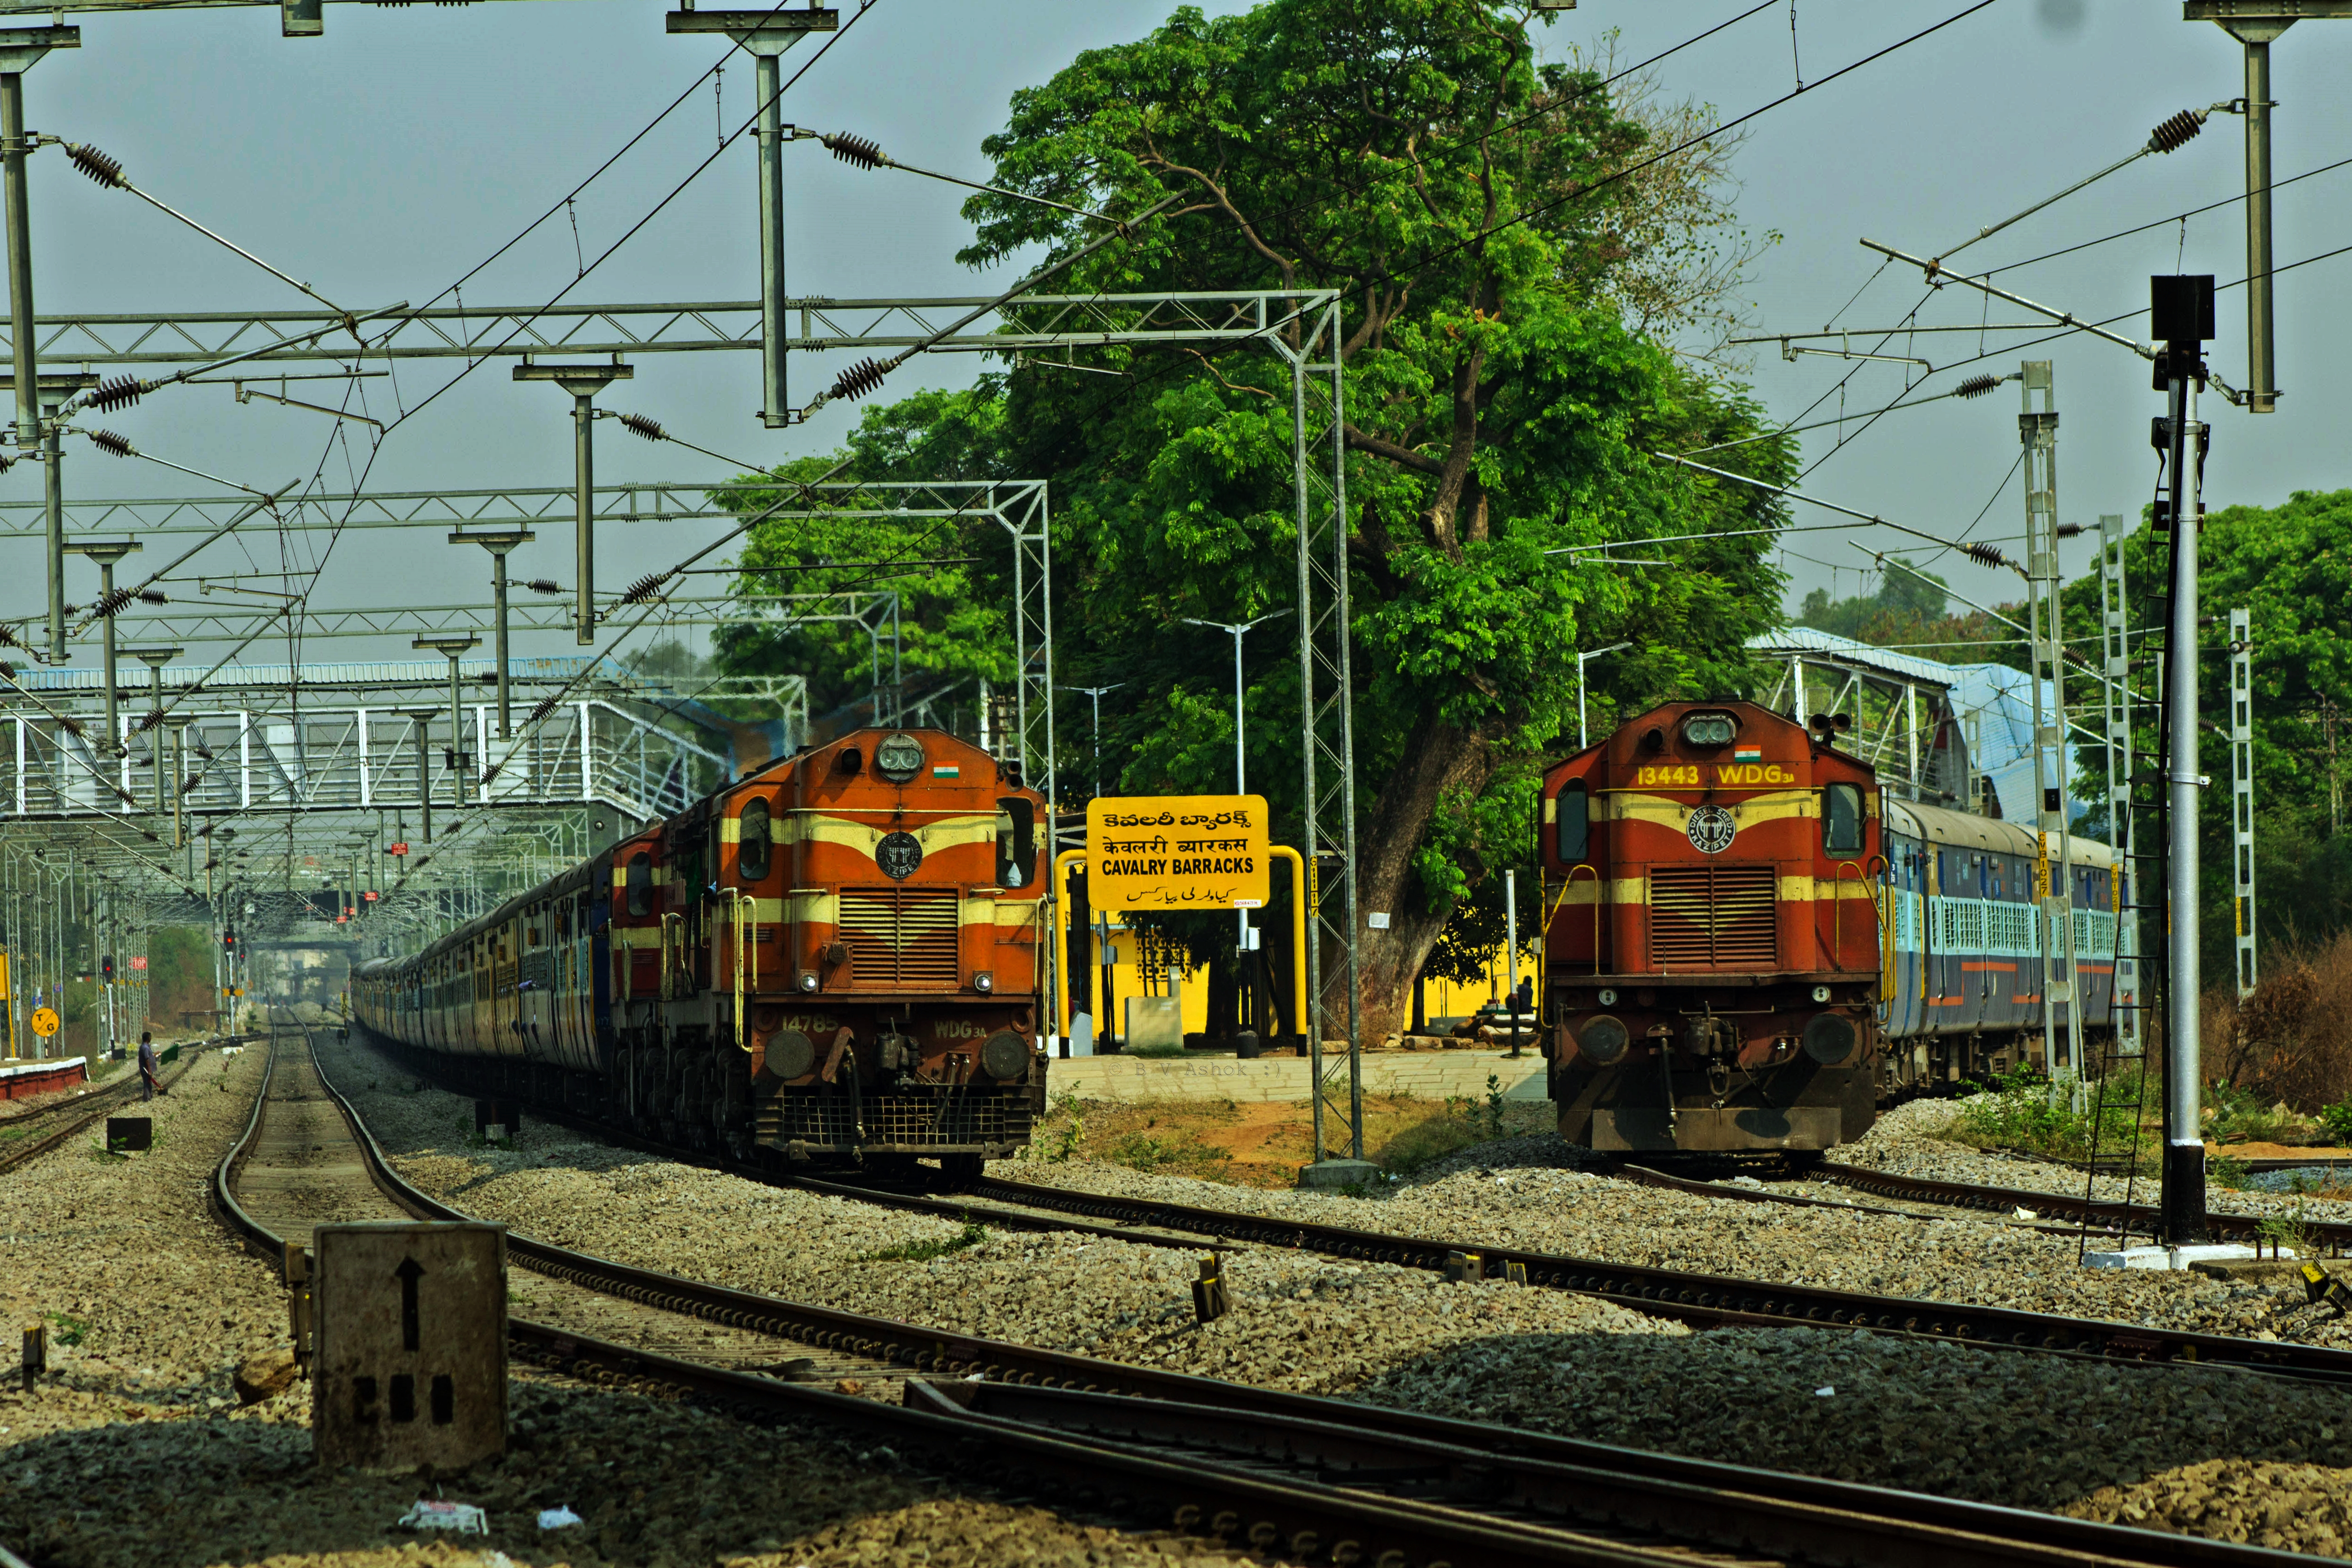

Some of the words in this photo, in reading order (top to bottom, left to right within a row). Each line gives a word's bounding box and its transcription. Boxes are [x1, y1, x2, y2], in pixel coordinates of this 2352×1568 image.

[1636, 764, 1701, 787] 13443
[1716, 763, 1796, 785] ౧౯౬౩
[1101, 808, 1176, 828] కెవలరీ
[1178, 809, 1253, 833] బ్యారక్స్
[1098, 832, 1170, 857] केवलरी
[1176, 838, 1249, 856] ब्यारकस
[1099, 858, 1170, 878] CAVALRY
[1171, 854, 1257, 877] BARRACKS